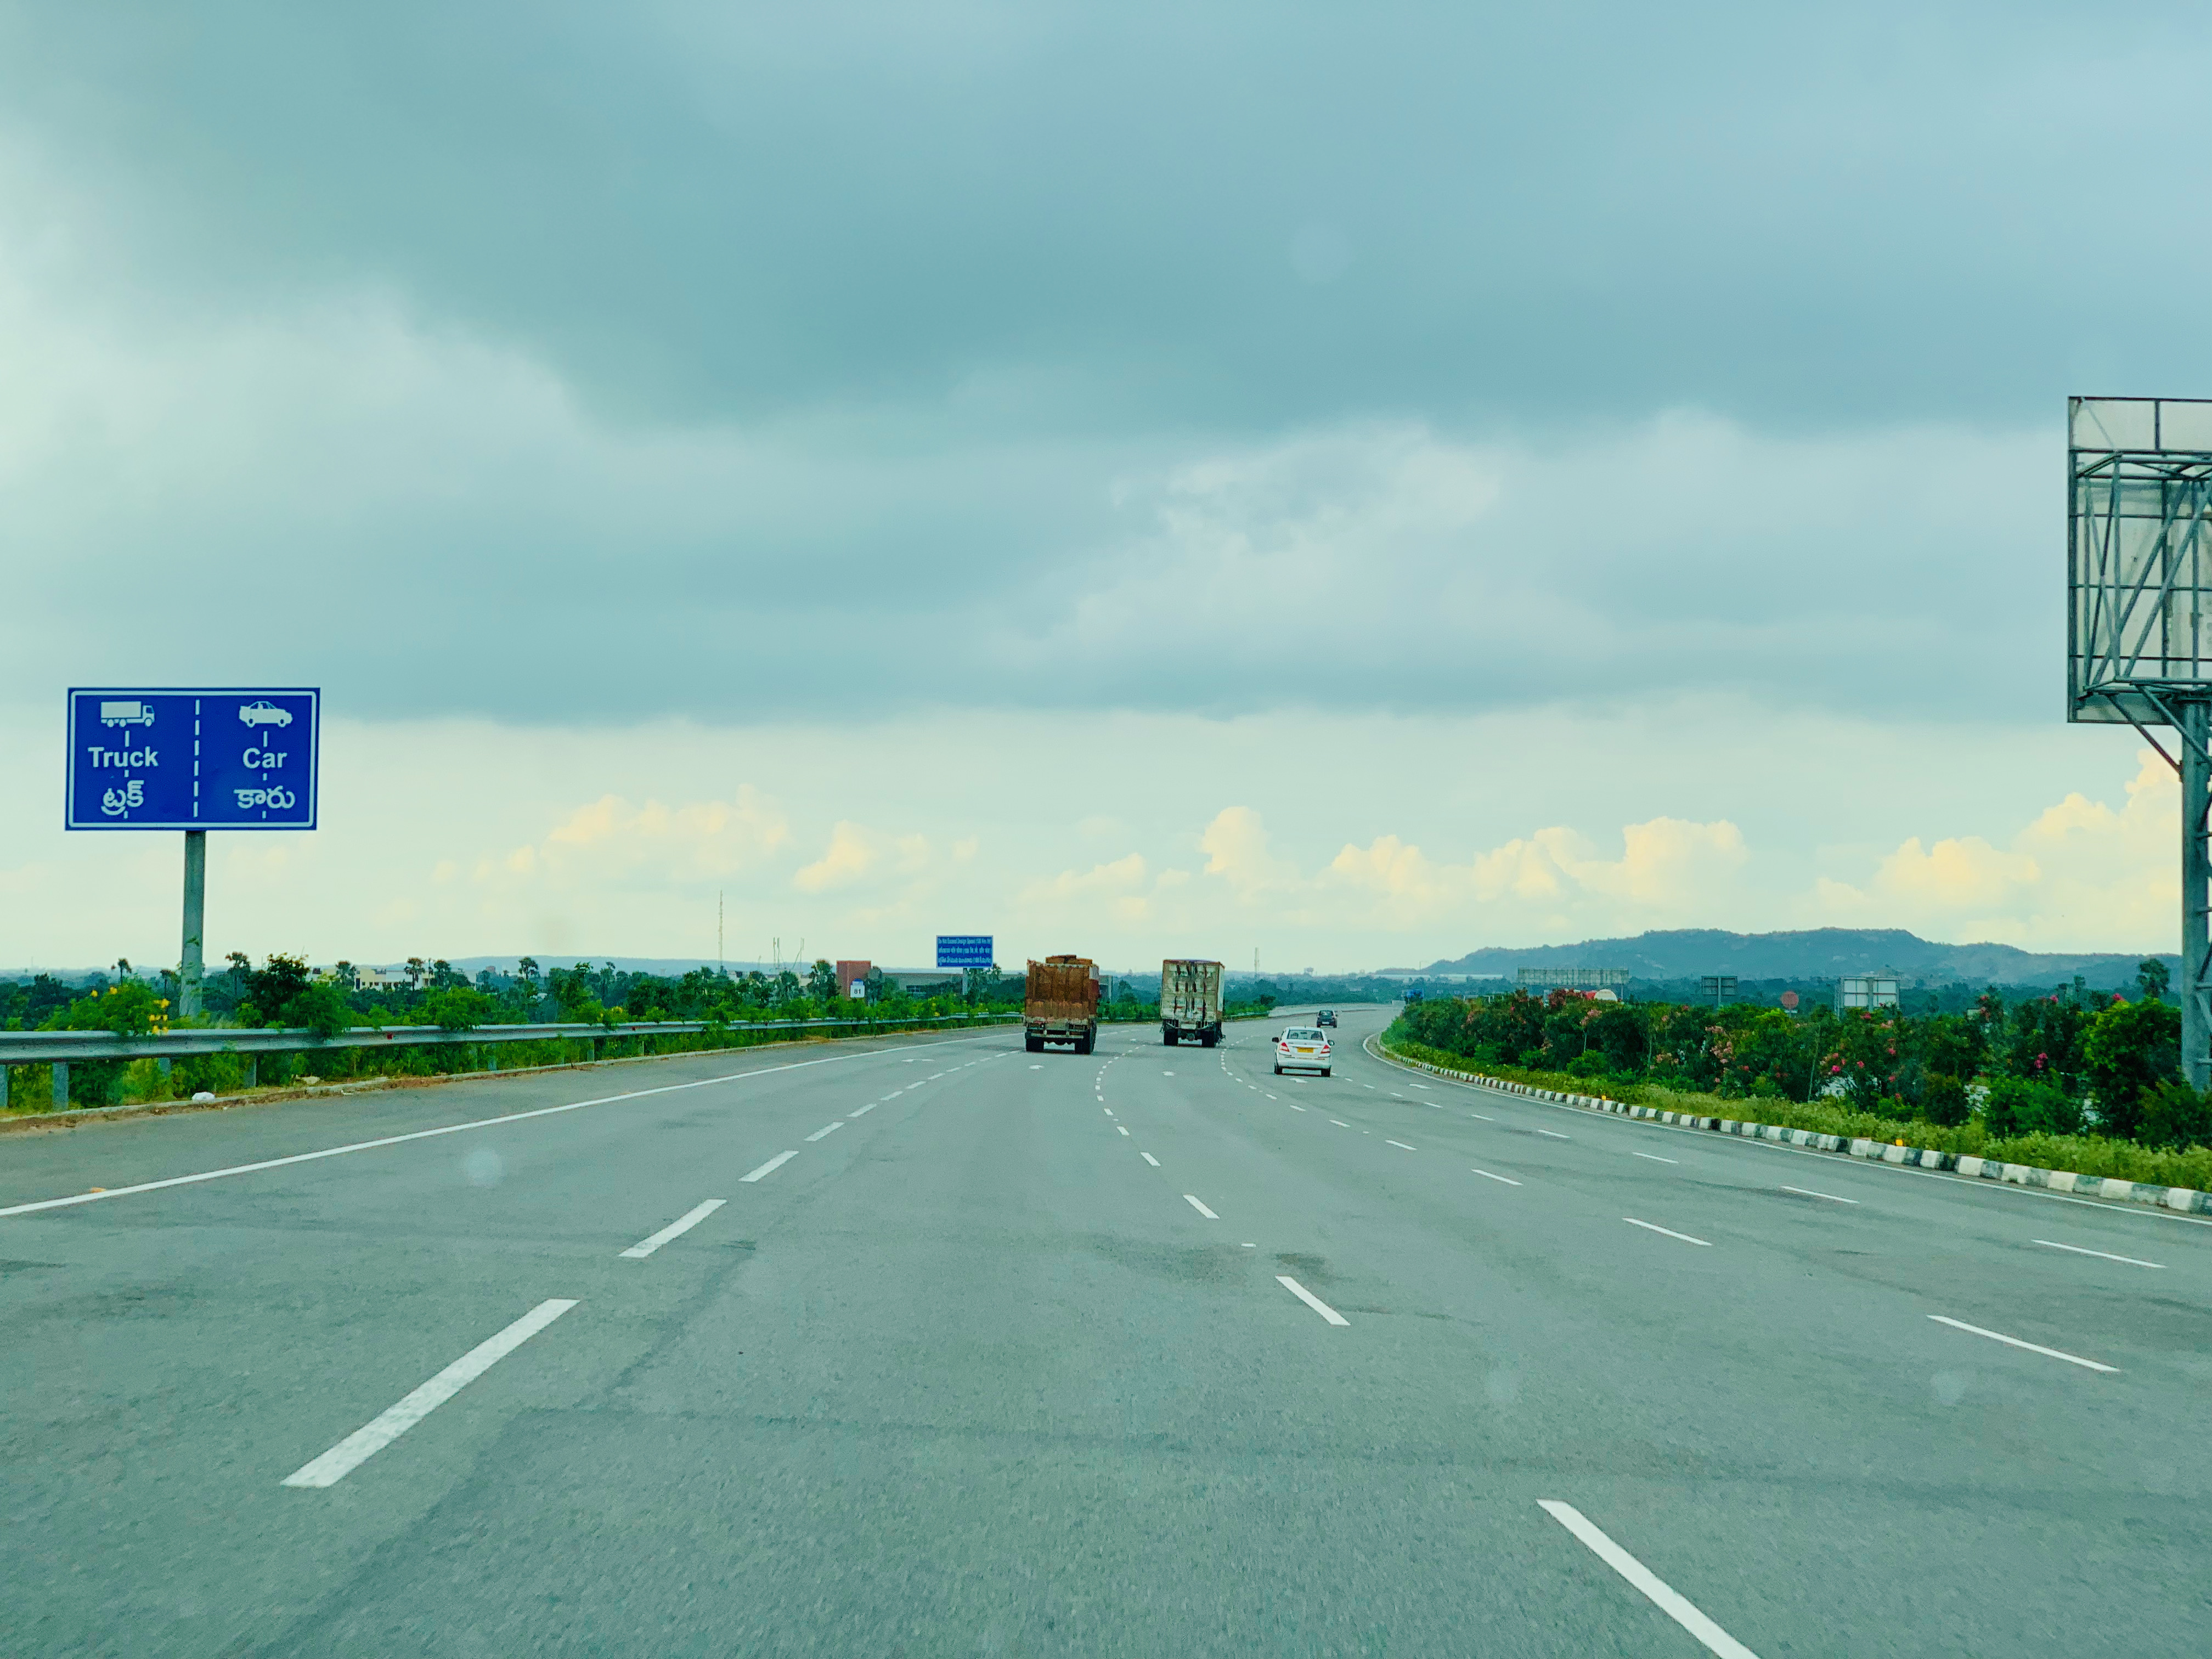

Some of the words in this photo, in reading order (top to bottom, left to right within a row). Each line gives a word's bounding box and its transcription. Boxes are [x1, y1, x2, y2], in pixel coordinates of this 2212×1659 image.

[80, 737, 170, 774] Truck
[238, 742, 294, 778] Car
[92, 775, 152, 824] ట్రక్
[228, 777, 306, 828] కారు